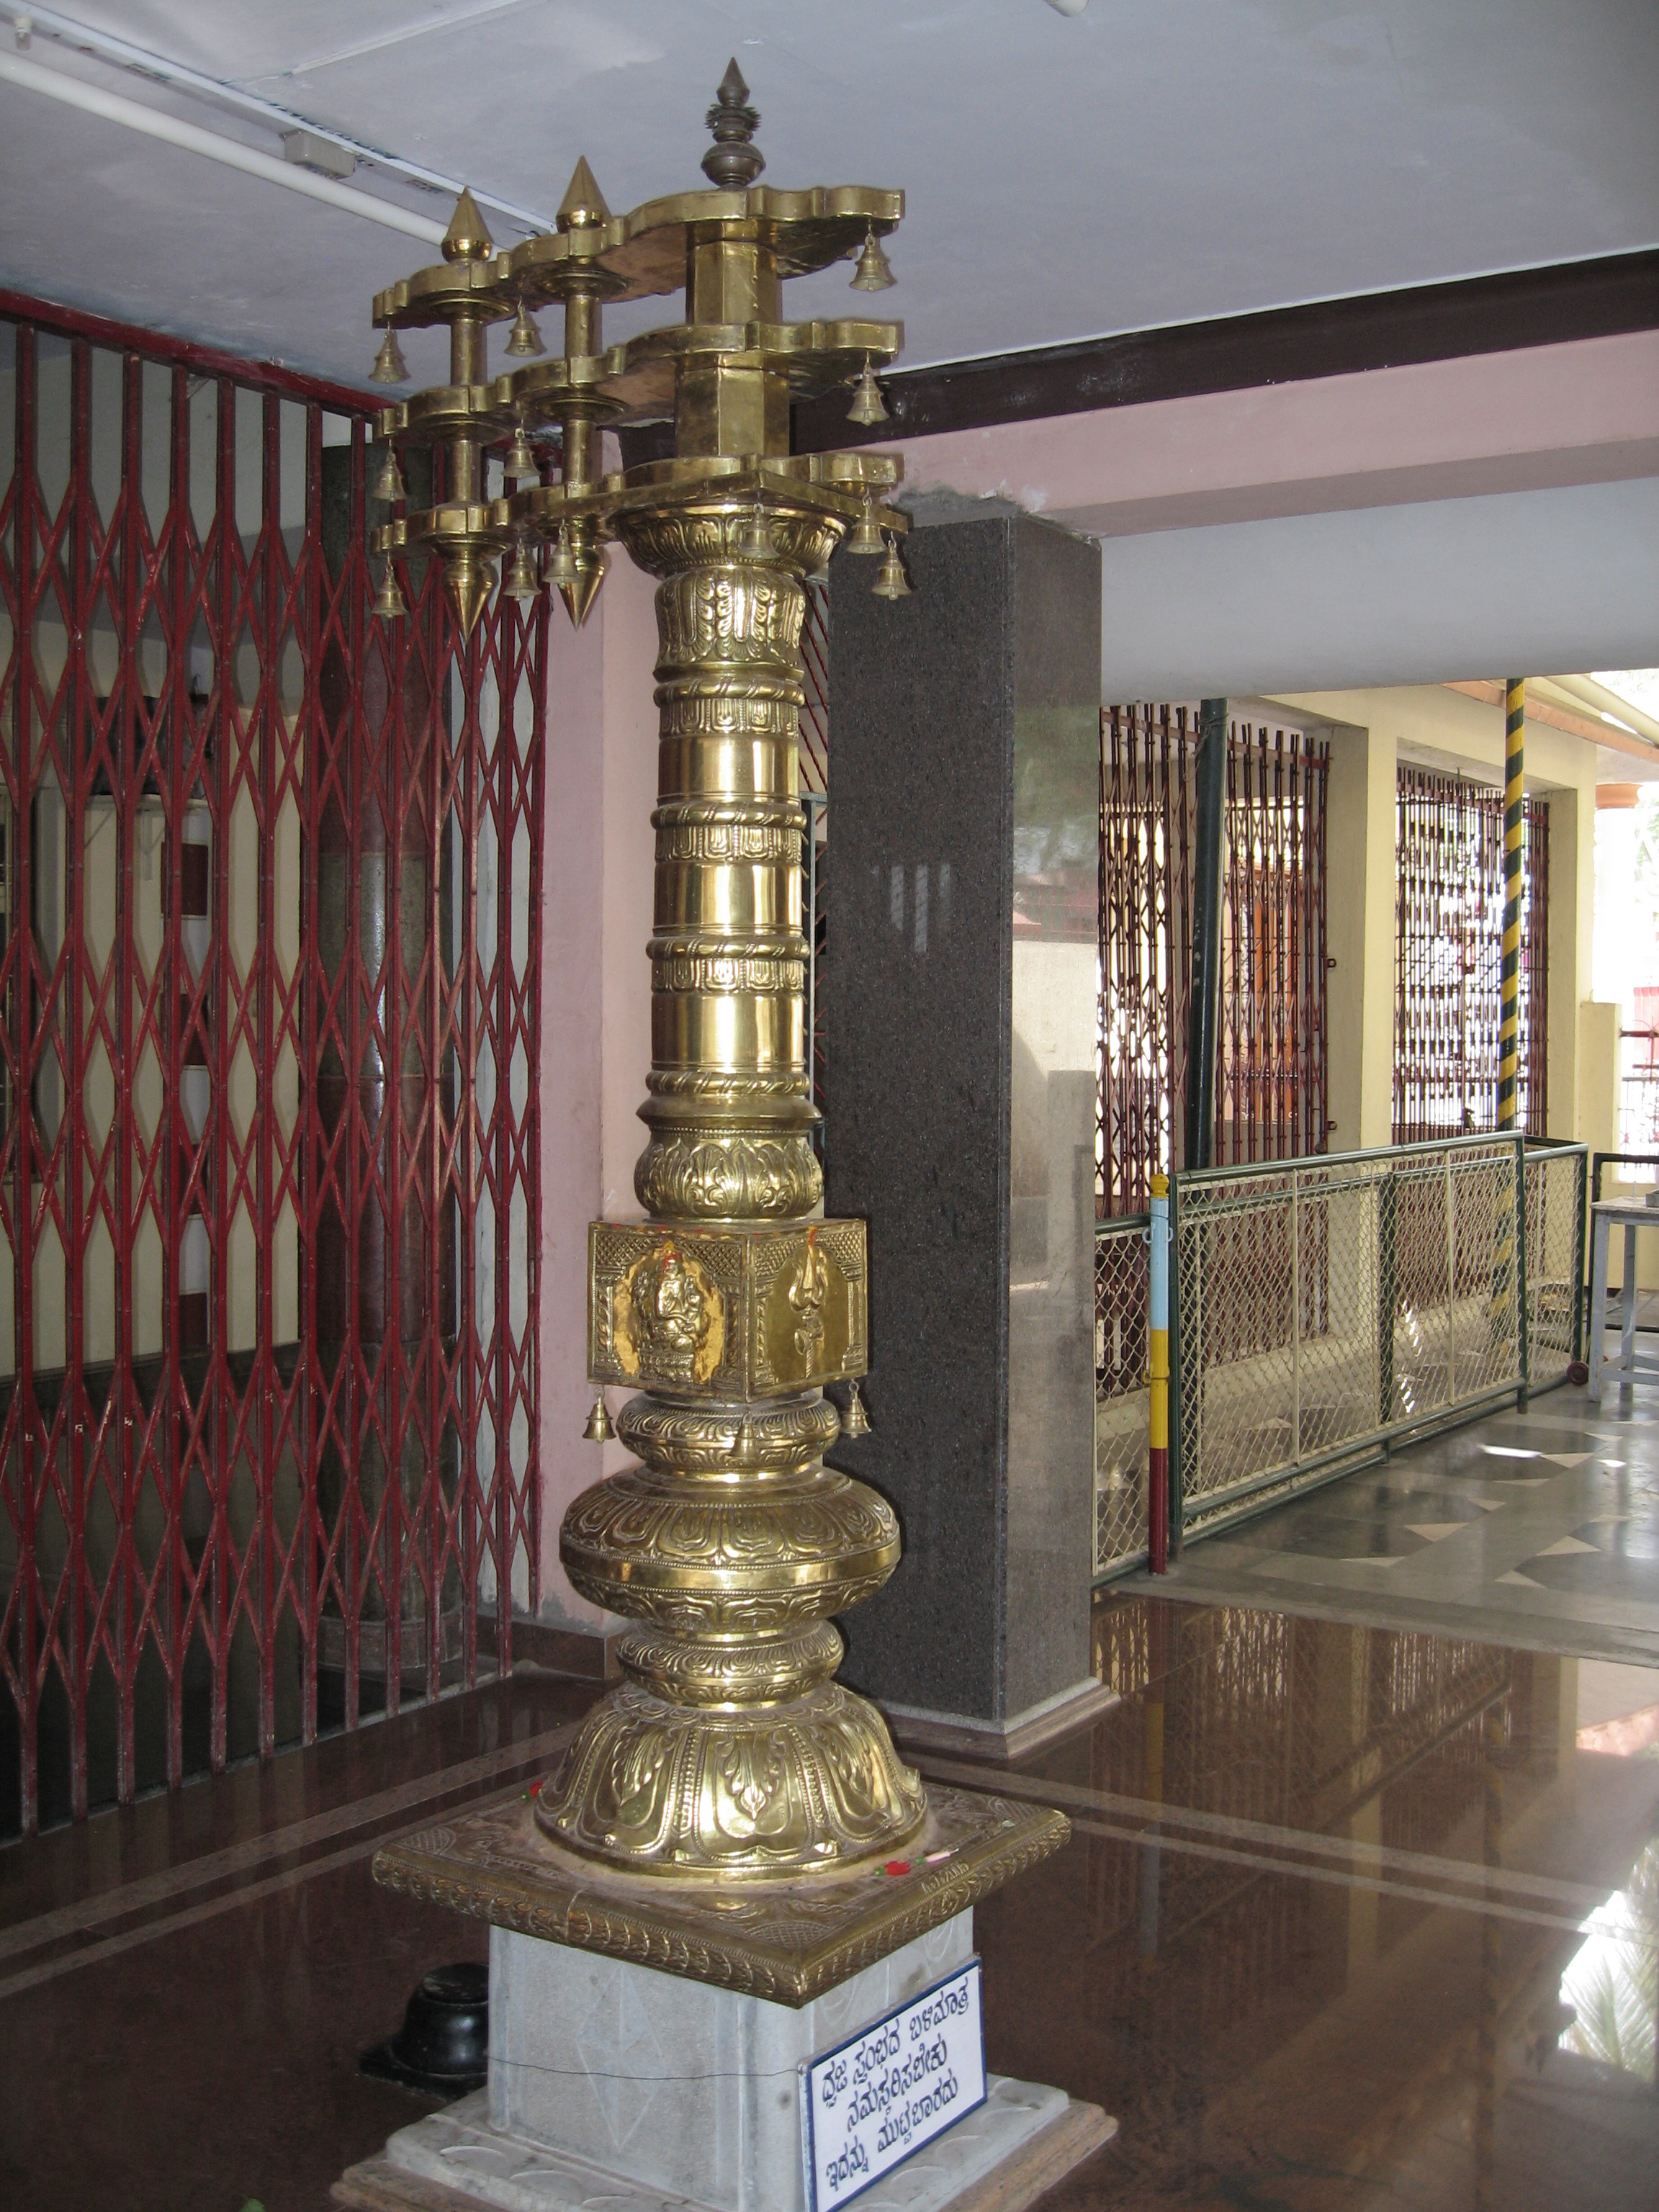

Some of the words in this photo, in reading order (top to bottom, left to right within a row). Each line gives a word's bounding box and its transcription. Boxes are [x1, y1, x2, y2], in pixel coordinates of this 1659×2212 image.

[904, 1971, 974, 2044] ಬಳಿಮಾತ್ರ
[818, 2051, 851, 2110] ವ್ತಜ
[847, 2015, 905, 2092] ಸ್ತಂಭವ
[842, 2029, 951, 2135] ನಮಸ್ಸರಿಸಬೇಕು
[872, 2062, 963, 2156] ಮುಟ್ಟಬಾರದು
[819, 2130, 874, 2195] ಇದನ್ನು